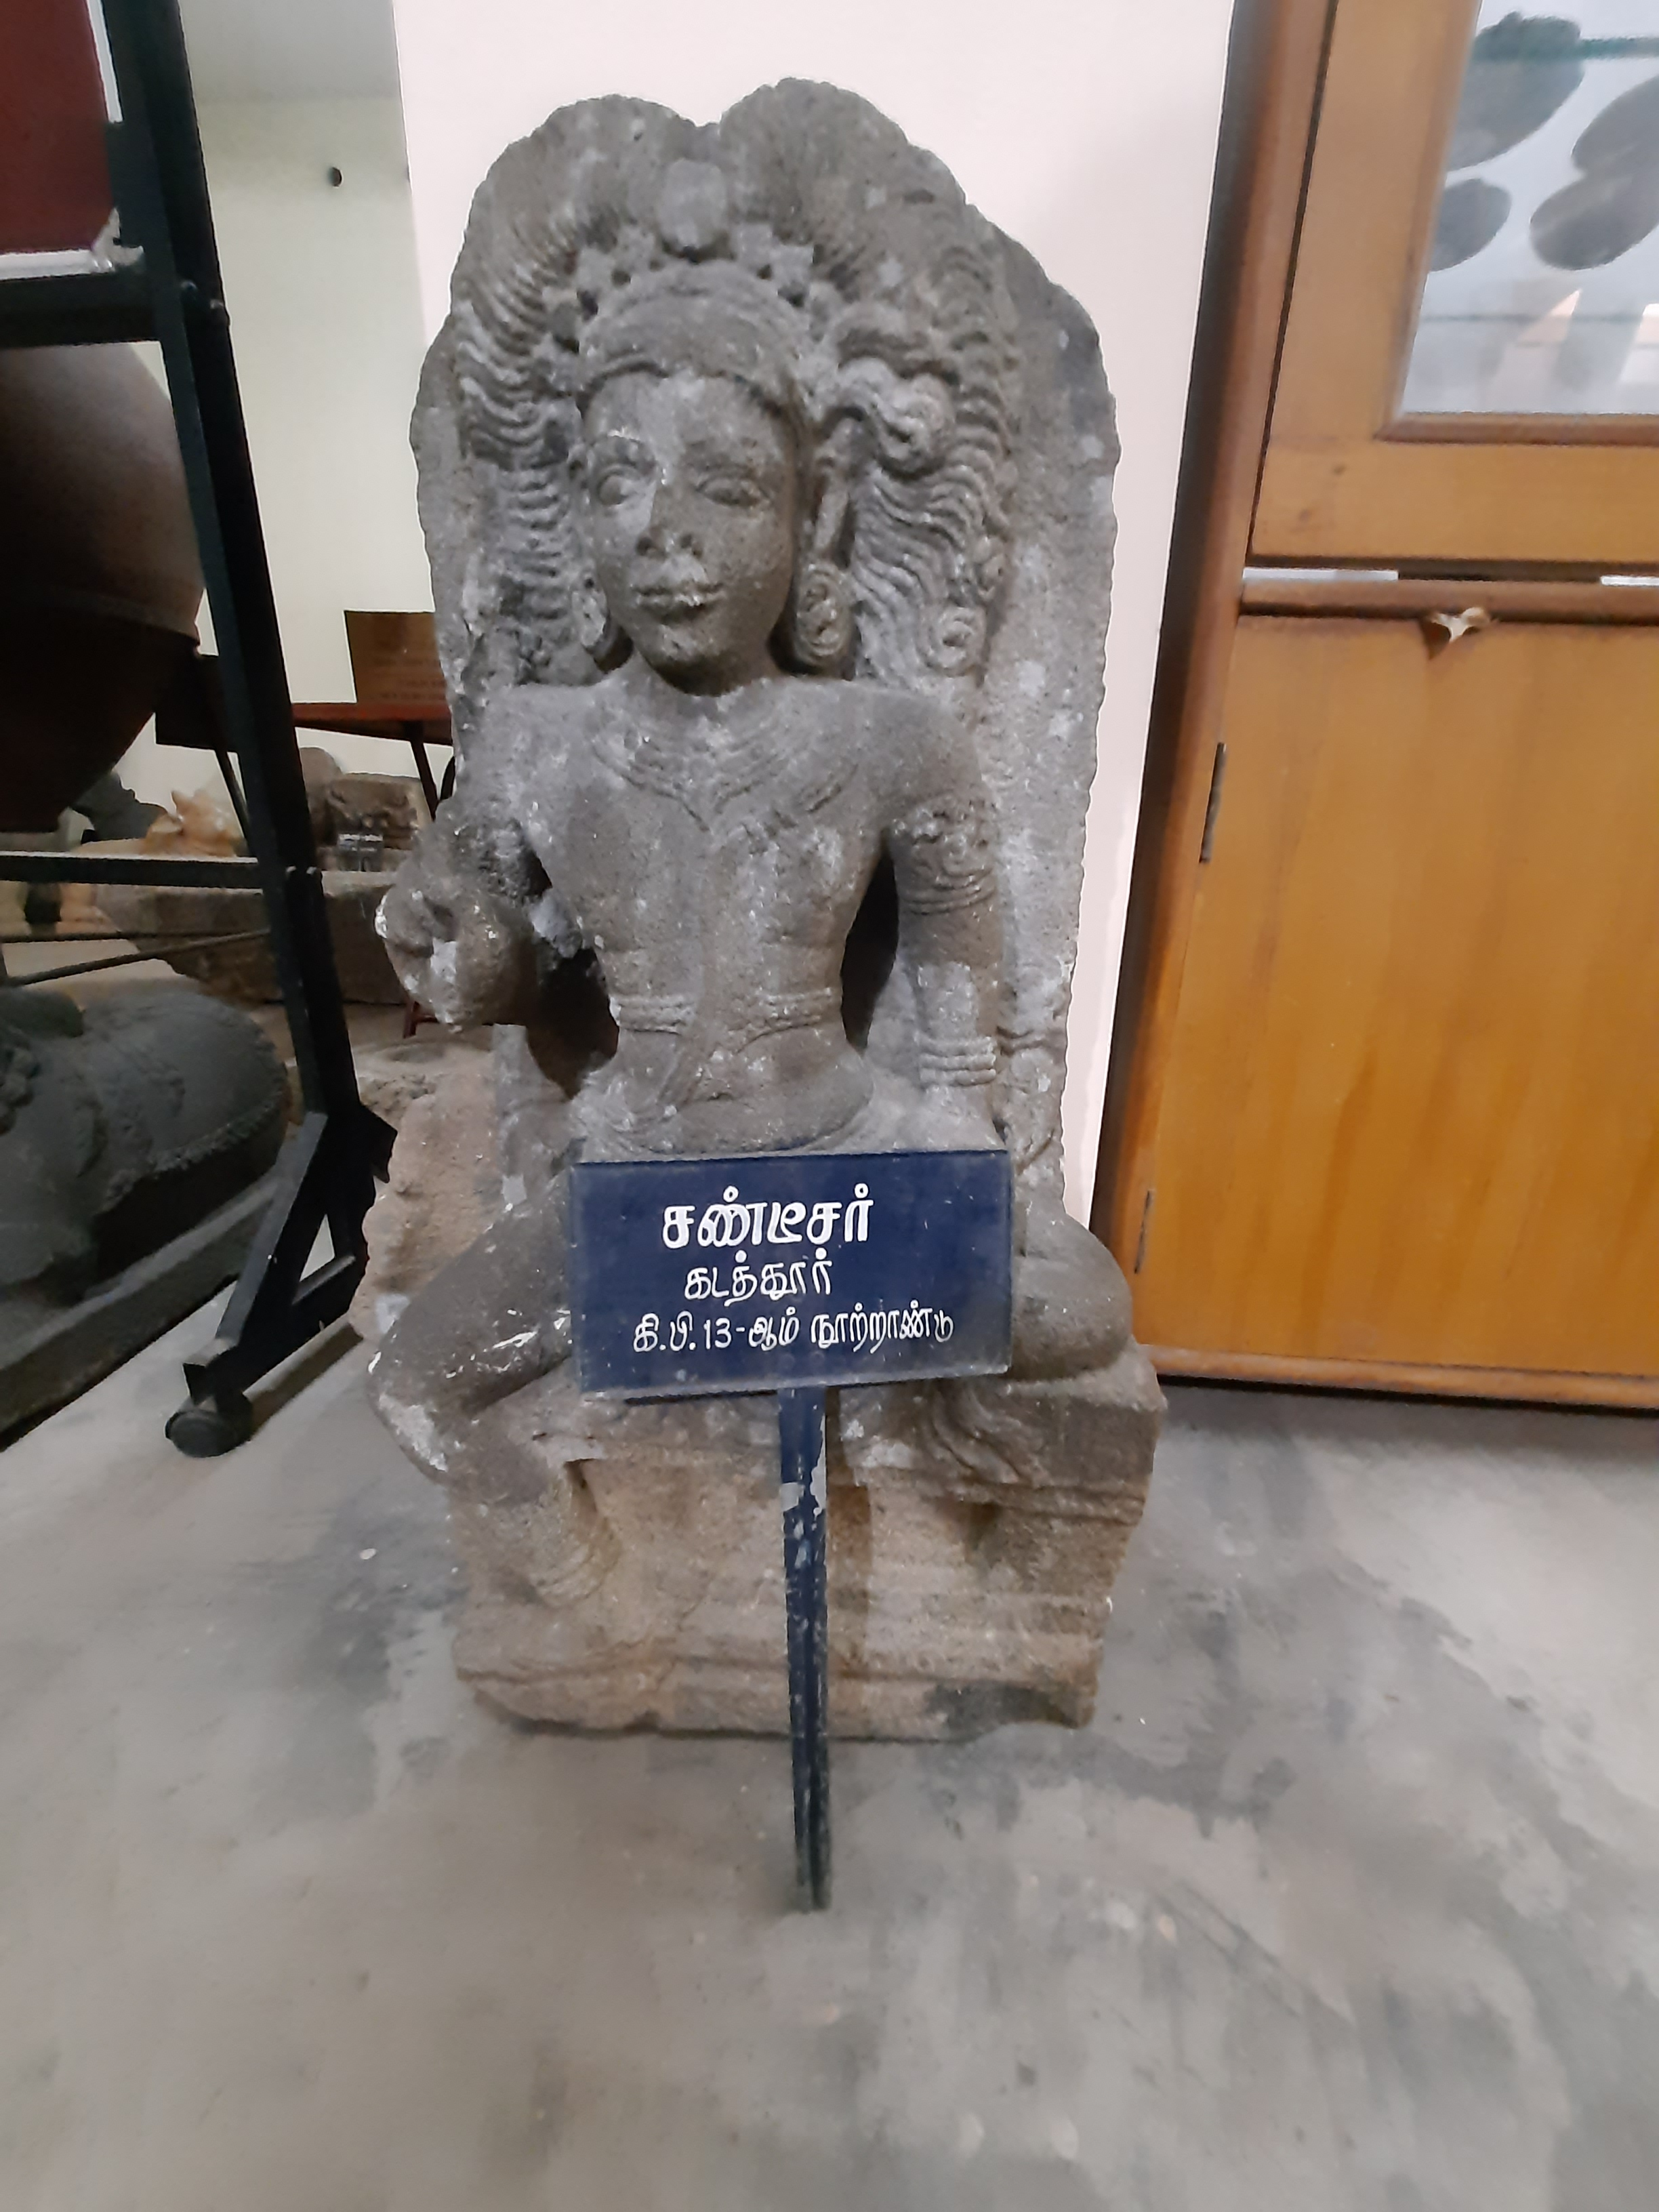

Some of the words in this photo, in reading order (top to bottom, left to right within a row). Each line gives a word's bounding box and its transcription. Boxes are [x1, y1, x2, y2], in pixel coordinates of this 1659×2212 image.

[657, 1179, 878, 1246] சண்டீசா்
[679, 1245, 837, 1310] கடத்தூா்
[624, 1307, 804, 1356] கி.பி.13-ஆம்
[806, 1298, 957, 1359] நூற்றாண்டு